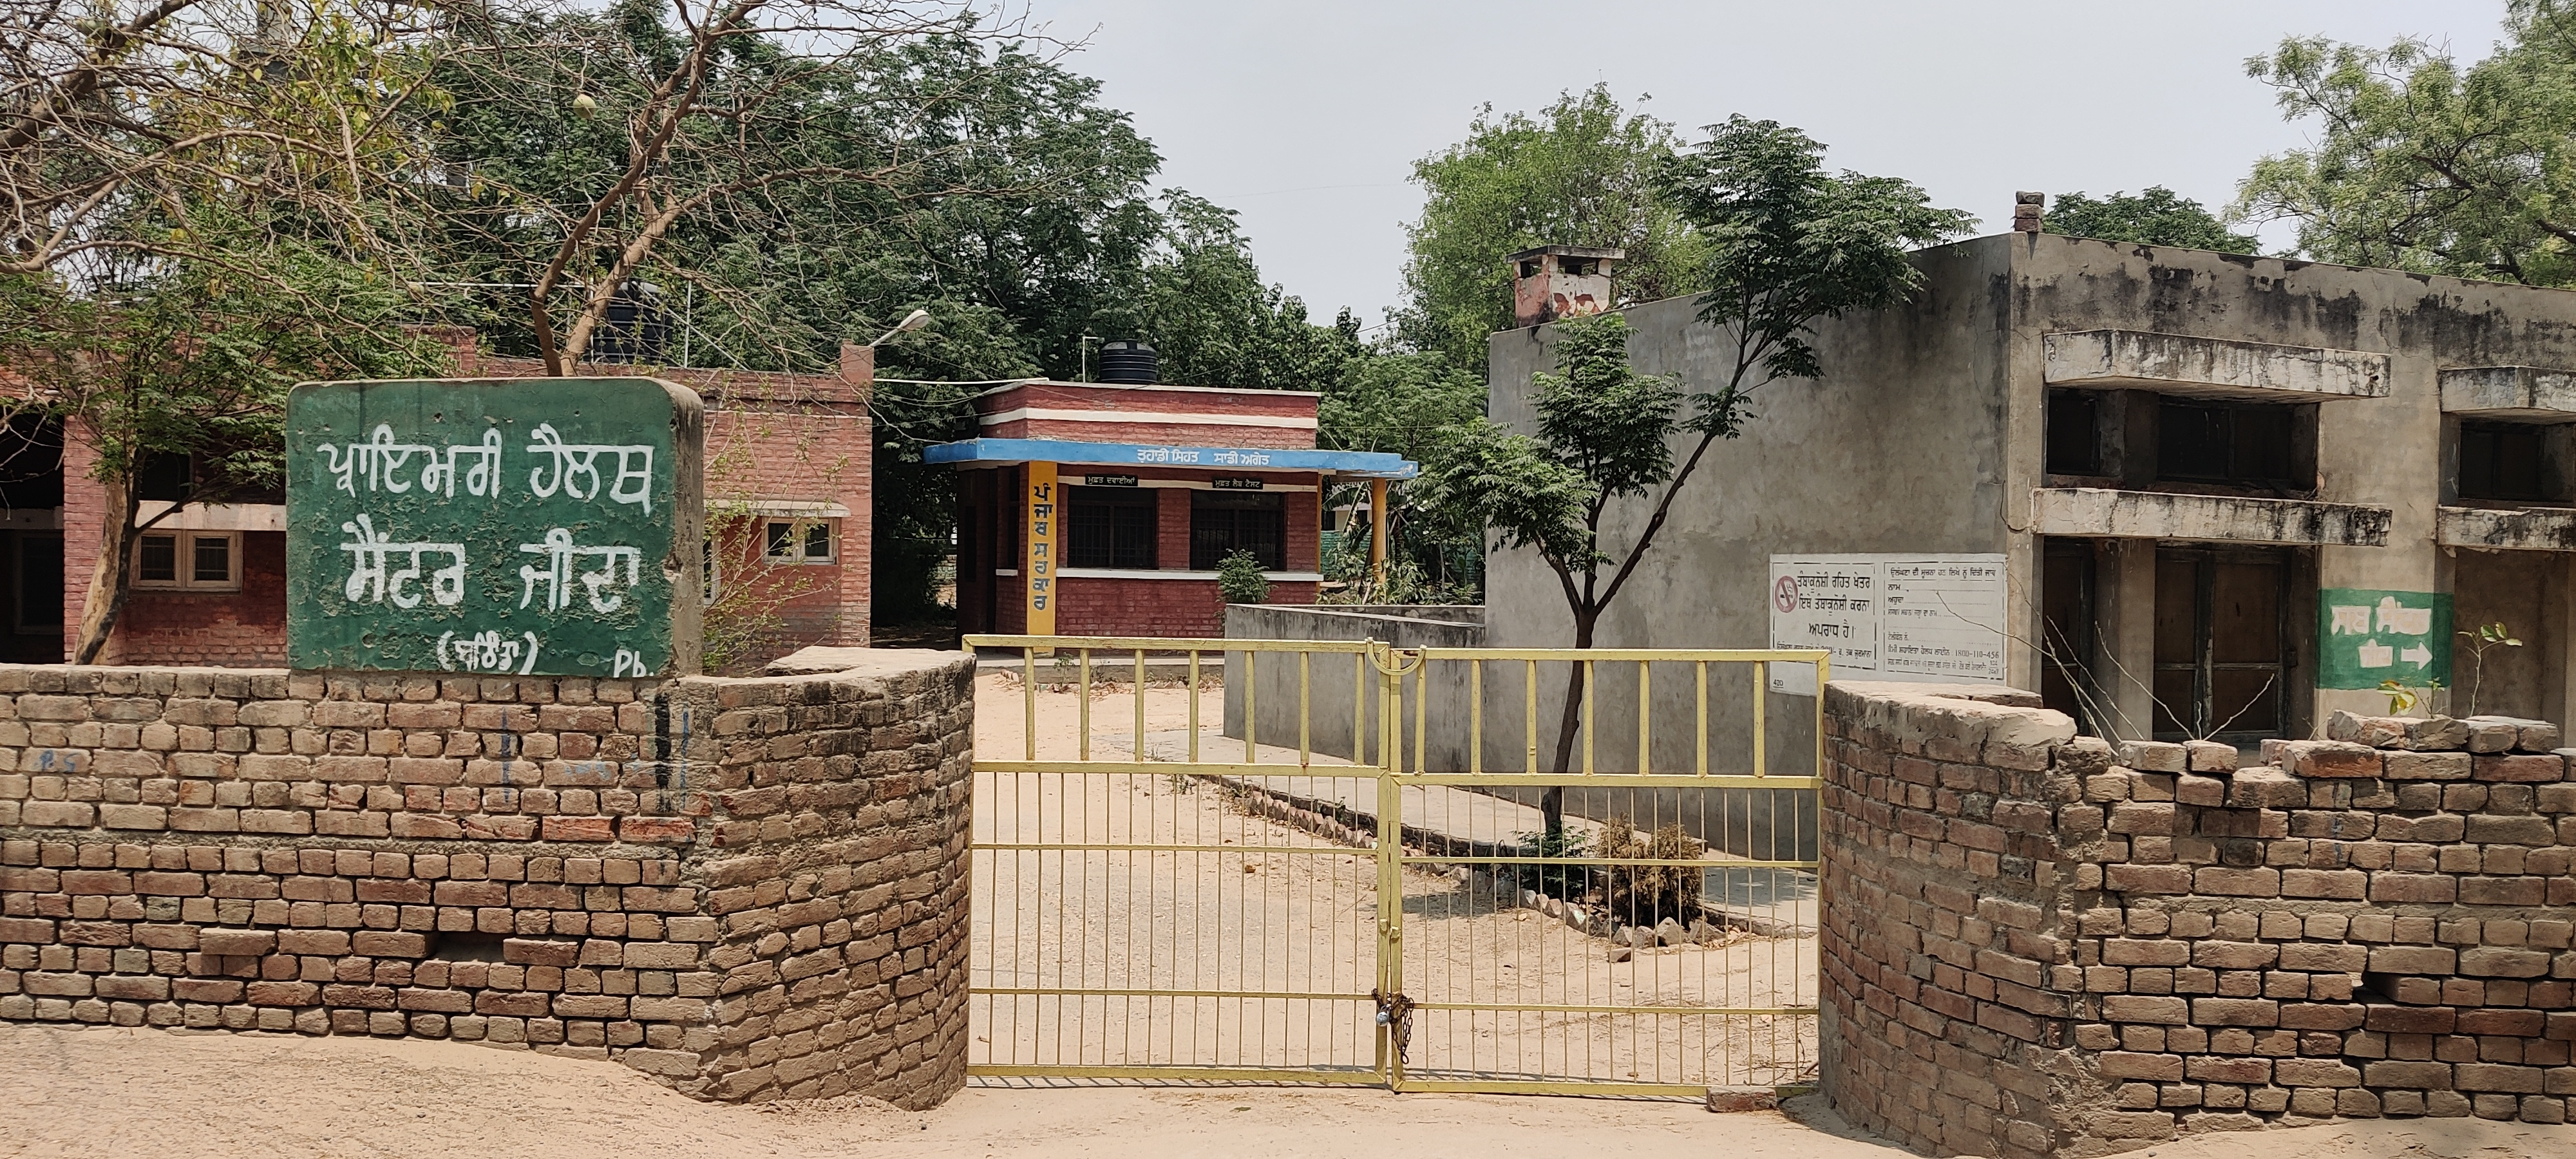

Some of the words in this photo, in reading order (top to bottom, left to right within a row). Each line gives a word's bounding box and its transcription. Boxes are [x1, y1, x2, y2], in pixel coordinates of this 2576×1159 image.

[310, 412, 515, 509] ਪ੍ਰਾਇਮਰੀ
[514, 419, 663, 521] ਹੈਲਥ
[1084, 472, 1105, 487] ਮੁਫ਼ਤ
[1104, 473, 1139, 486] ਦਵਾਈਆਂ
[1132, 446, 1170, 464] ਤਹਡੀ
[1170, 446, 1202, 464] ਸਿਹਤ
[1213, 477, 1231, 490] ਮੁਫ਼ਤ
[1211, 448, 1240, 466] ਸਾਡੀ
[1229, 477, 1245, 488] ਲੈਬ
[1244, 478, 1263, 490] ਟੈਸਟ
[1240, 449, 1273, 467] ਅਗੇਤ
[1031, 481, 1057, 539] ਪੰਜਾਬ
[325, 507, 479, 623] ਸੈਂਟਰ
[507, 526, 645, 623] ਜੀਦਾ
[1030, 538, 1056, 614] ਸਹਕਾਰ
[1792, 567, 1831, 595] ਤੰਬਾਕੂਨੋਸ਼ੀ
[1831, 569, 1851, 590] ਰਹਿਤ
[1851, 569, 1872, 592] ਖੇਤਰ
[1797, 591, 1812, 614] ਇਥੇ
[1812, 591, 1849, 619] ਤੰਬਾਕੂਨੇਸ਼ੀ
[1849, 592, 1871, 614] ਕਰਨਾ
[1803, 619, 1841, 641] ਅਪਰਾਧ
[1840, 616, 1851, 643] ਹੈ
[450, 624, 528, 674] ਬਠਿੰਡਾ
[607, 645, 656, 677] Pb.
[1953, 648, 2003, 659] 1800-110-456
[1770, 677, 1787, 688] 420